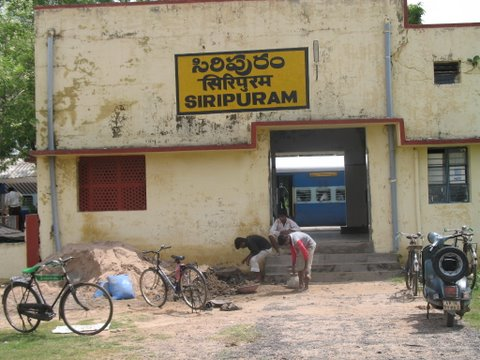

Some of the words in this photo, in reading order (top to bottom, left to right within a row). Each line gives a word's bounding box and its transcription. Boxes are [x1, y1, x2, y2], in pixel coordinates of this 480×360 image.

[185, 46, 290, 81] సిరిపురం
[193, 67, 279, 97] सिरिपुरम
[180, 87, 302, 115] SIRIPURAM